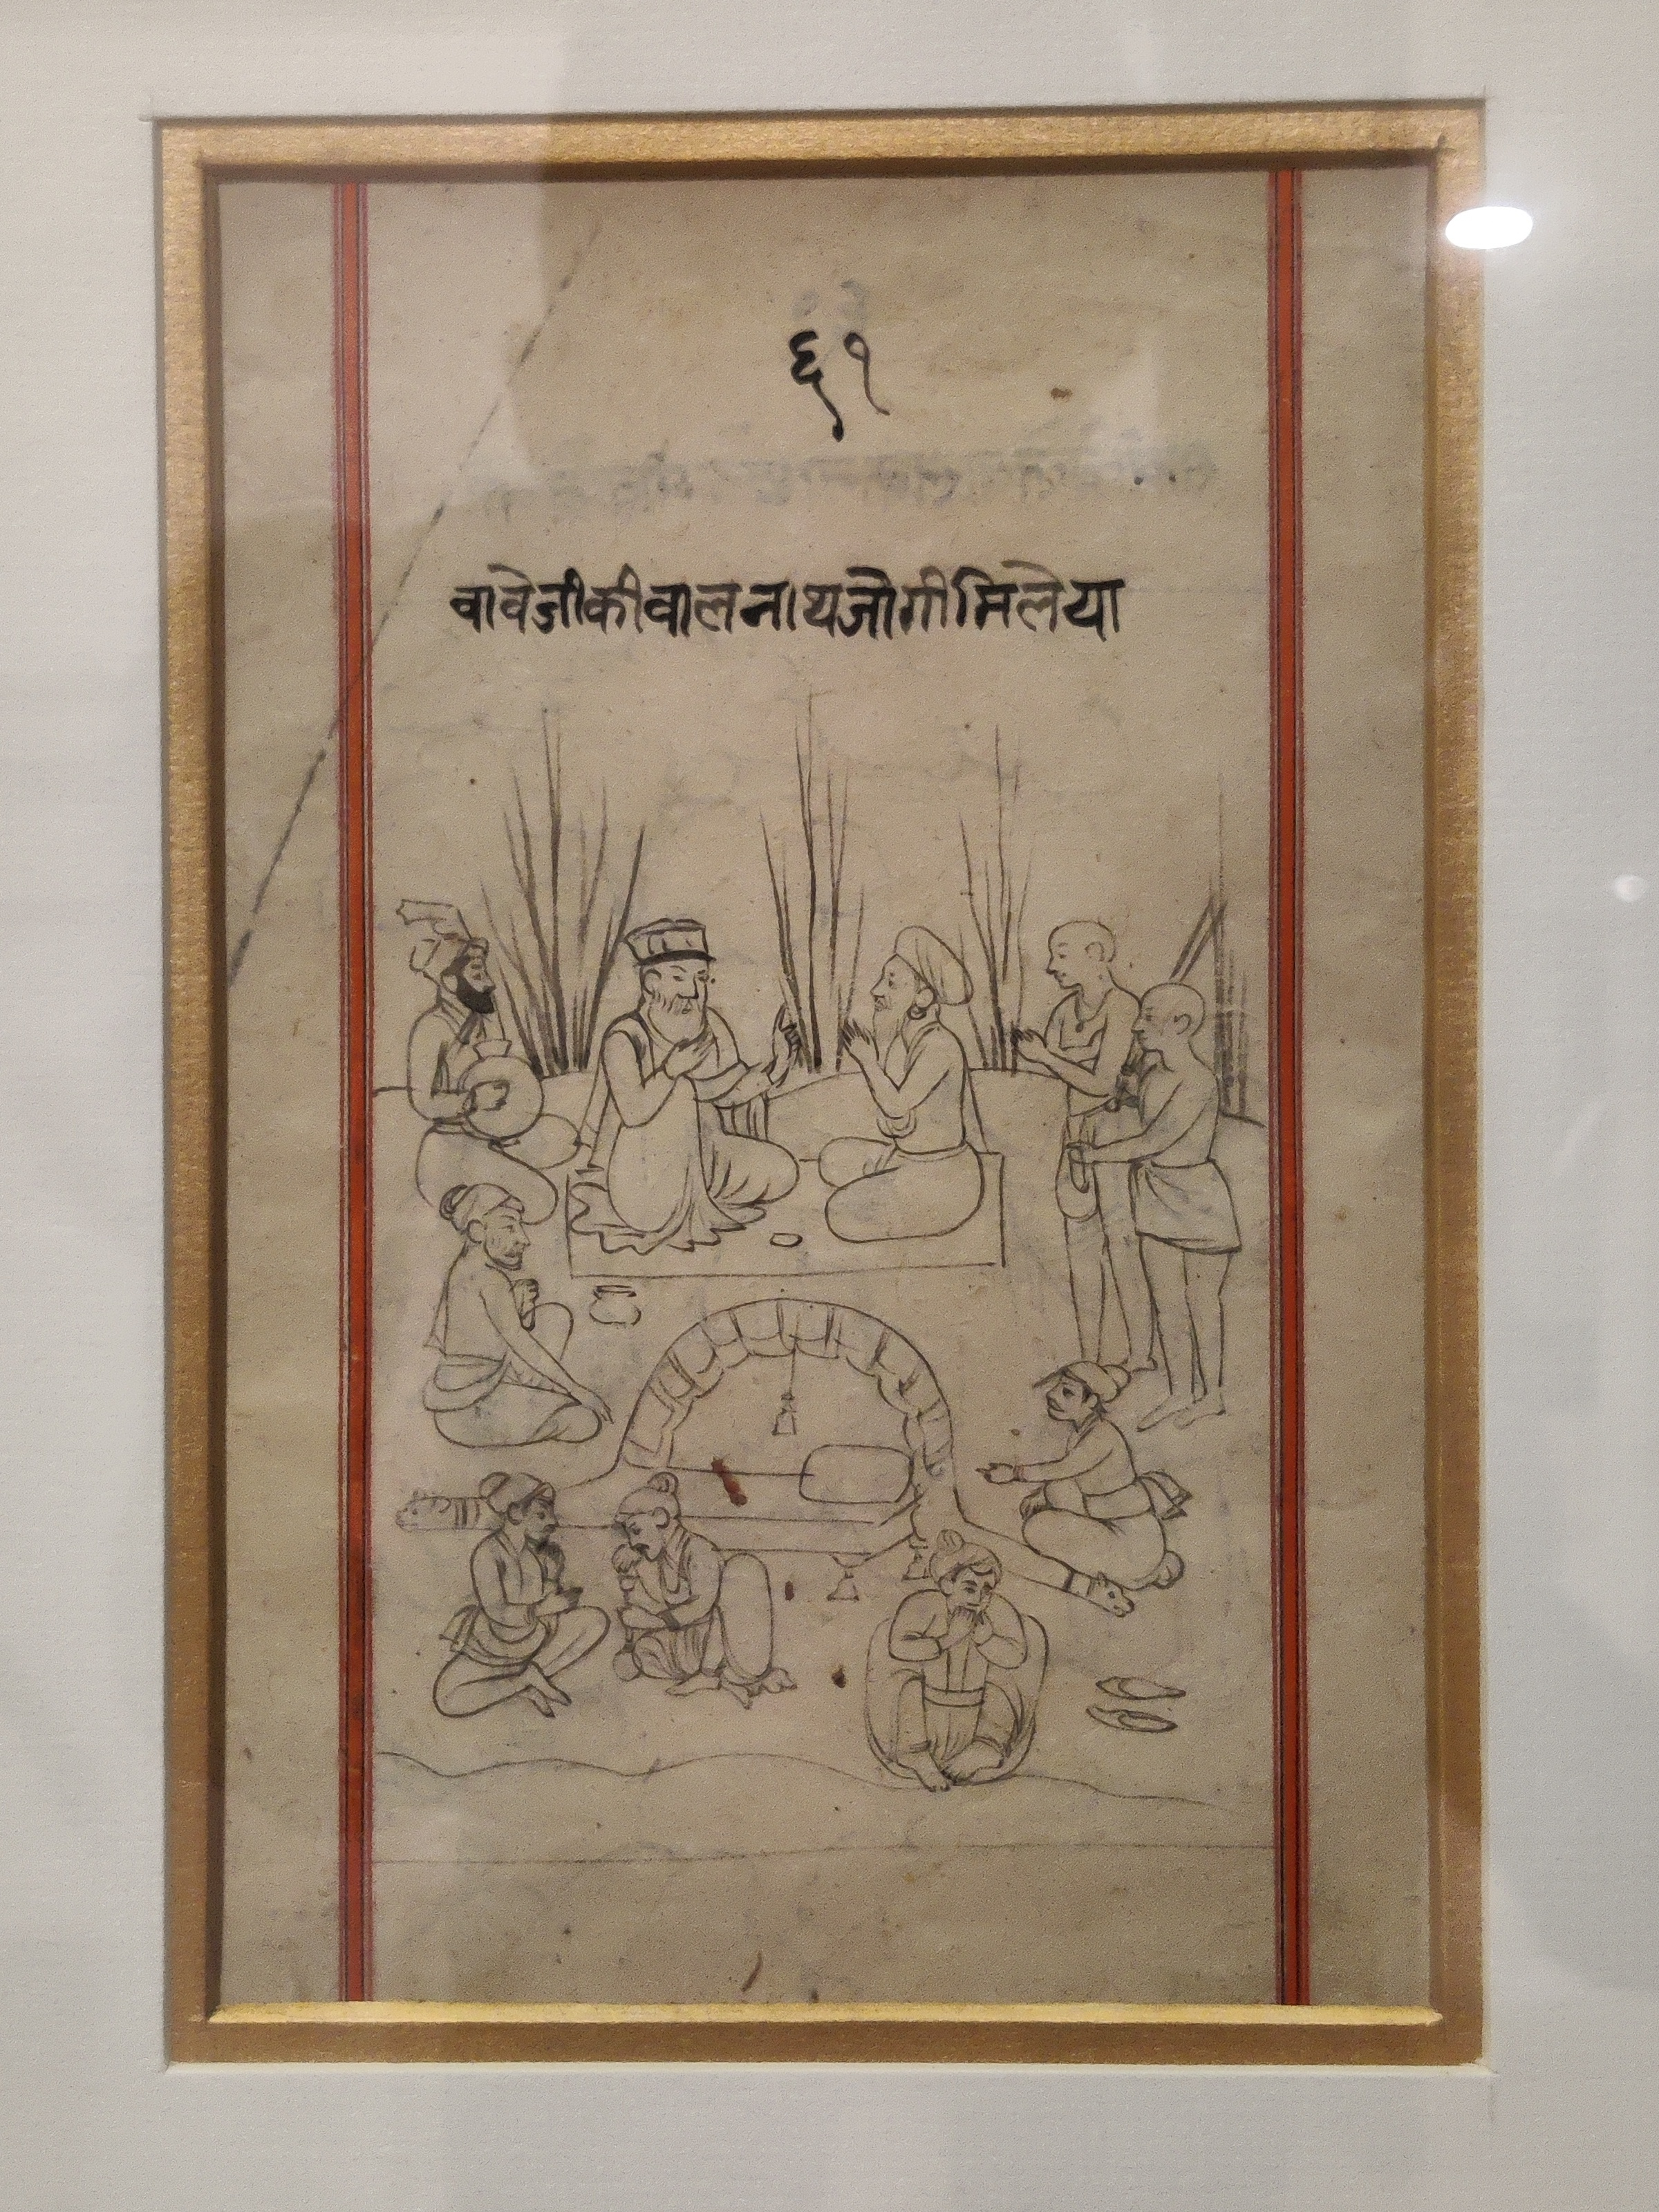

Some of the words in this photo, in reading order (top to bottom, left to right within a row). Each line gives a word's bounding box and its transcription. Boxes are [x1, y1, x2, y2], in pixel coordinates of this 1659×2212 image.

[786, 327, 892, 446] ६१
[449, 557, 1125, 643] बाबेजीकीवालनाथजोगीमिलेया